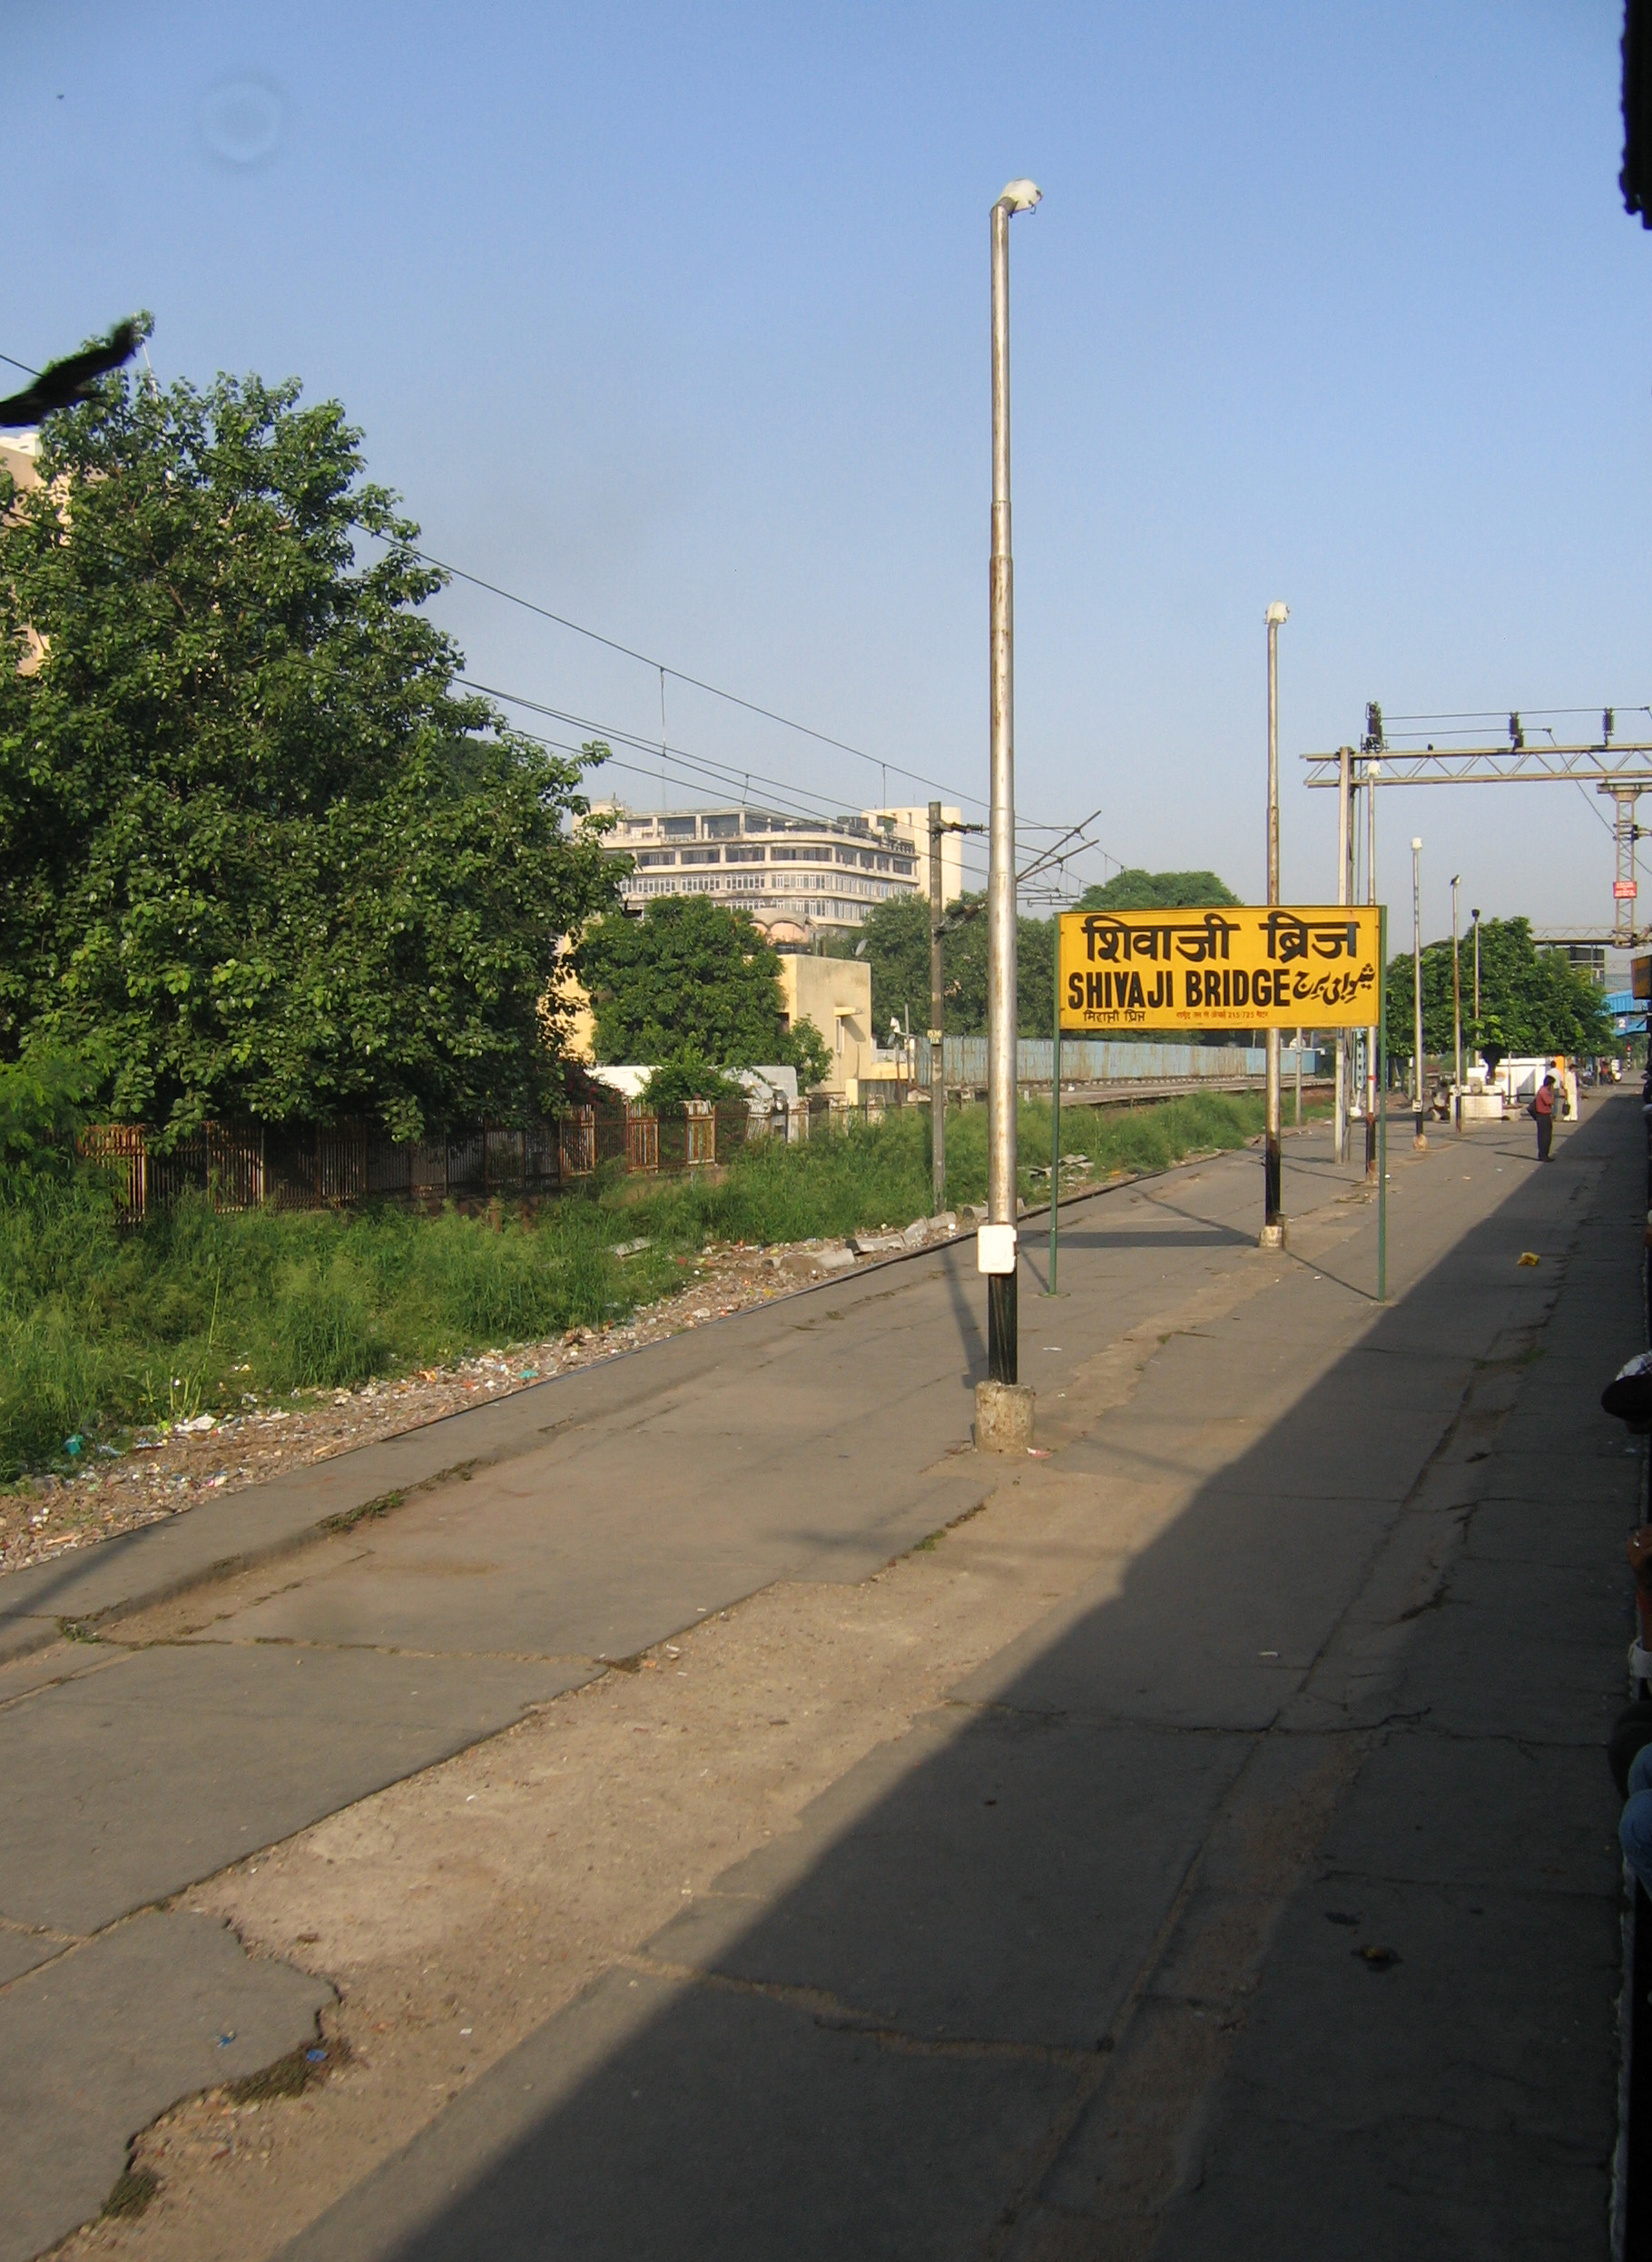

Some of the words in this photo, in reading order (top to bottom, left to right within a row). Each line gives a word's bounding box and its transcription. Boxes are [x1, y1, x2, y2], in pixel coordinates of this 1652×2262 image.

[1077, 909, 1244, 965] शिवाजी
[1256, 905, 1362, 965] ब्रिज
[1067, 969, 1175, 1014] SHIVAJI
[1185, 967, 1293, 1008] BRIDGE